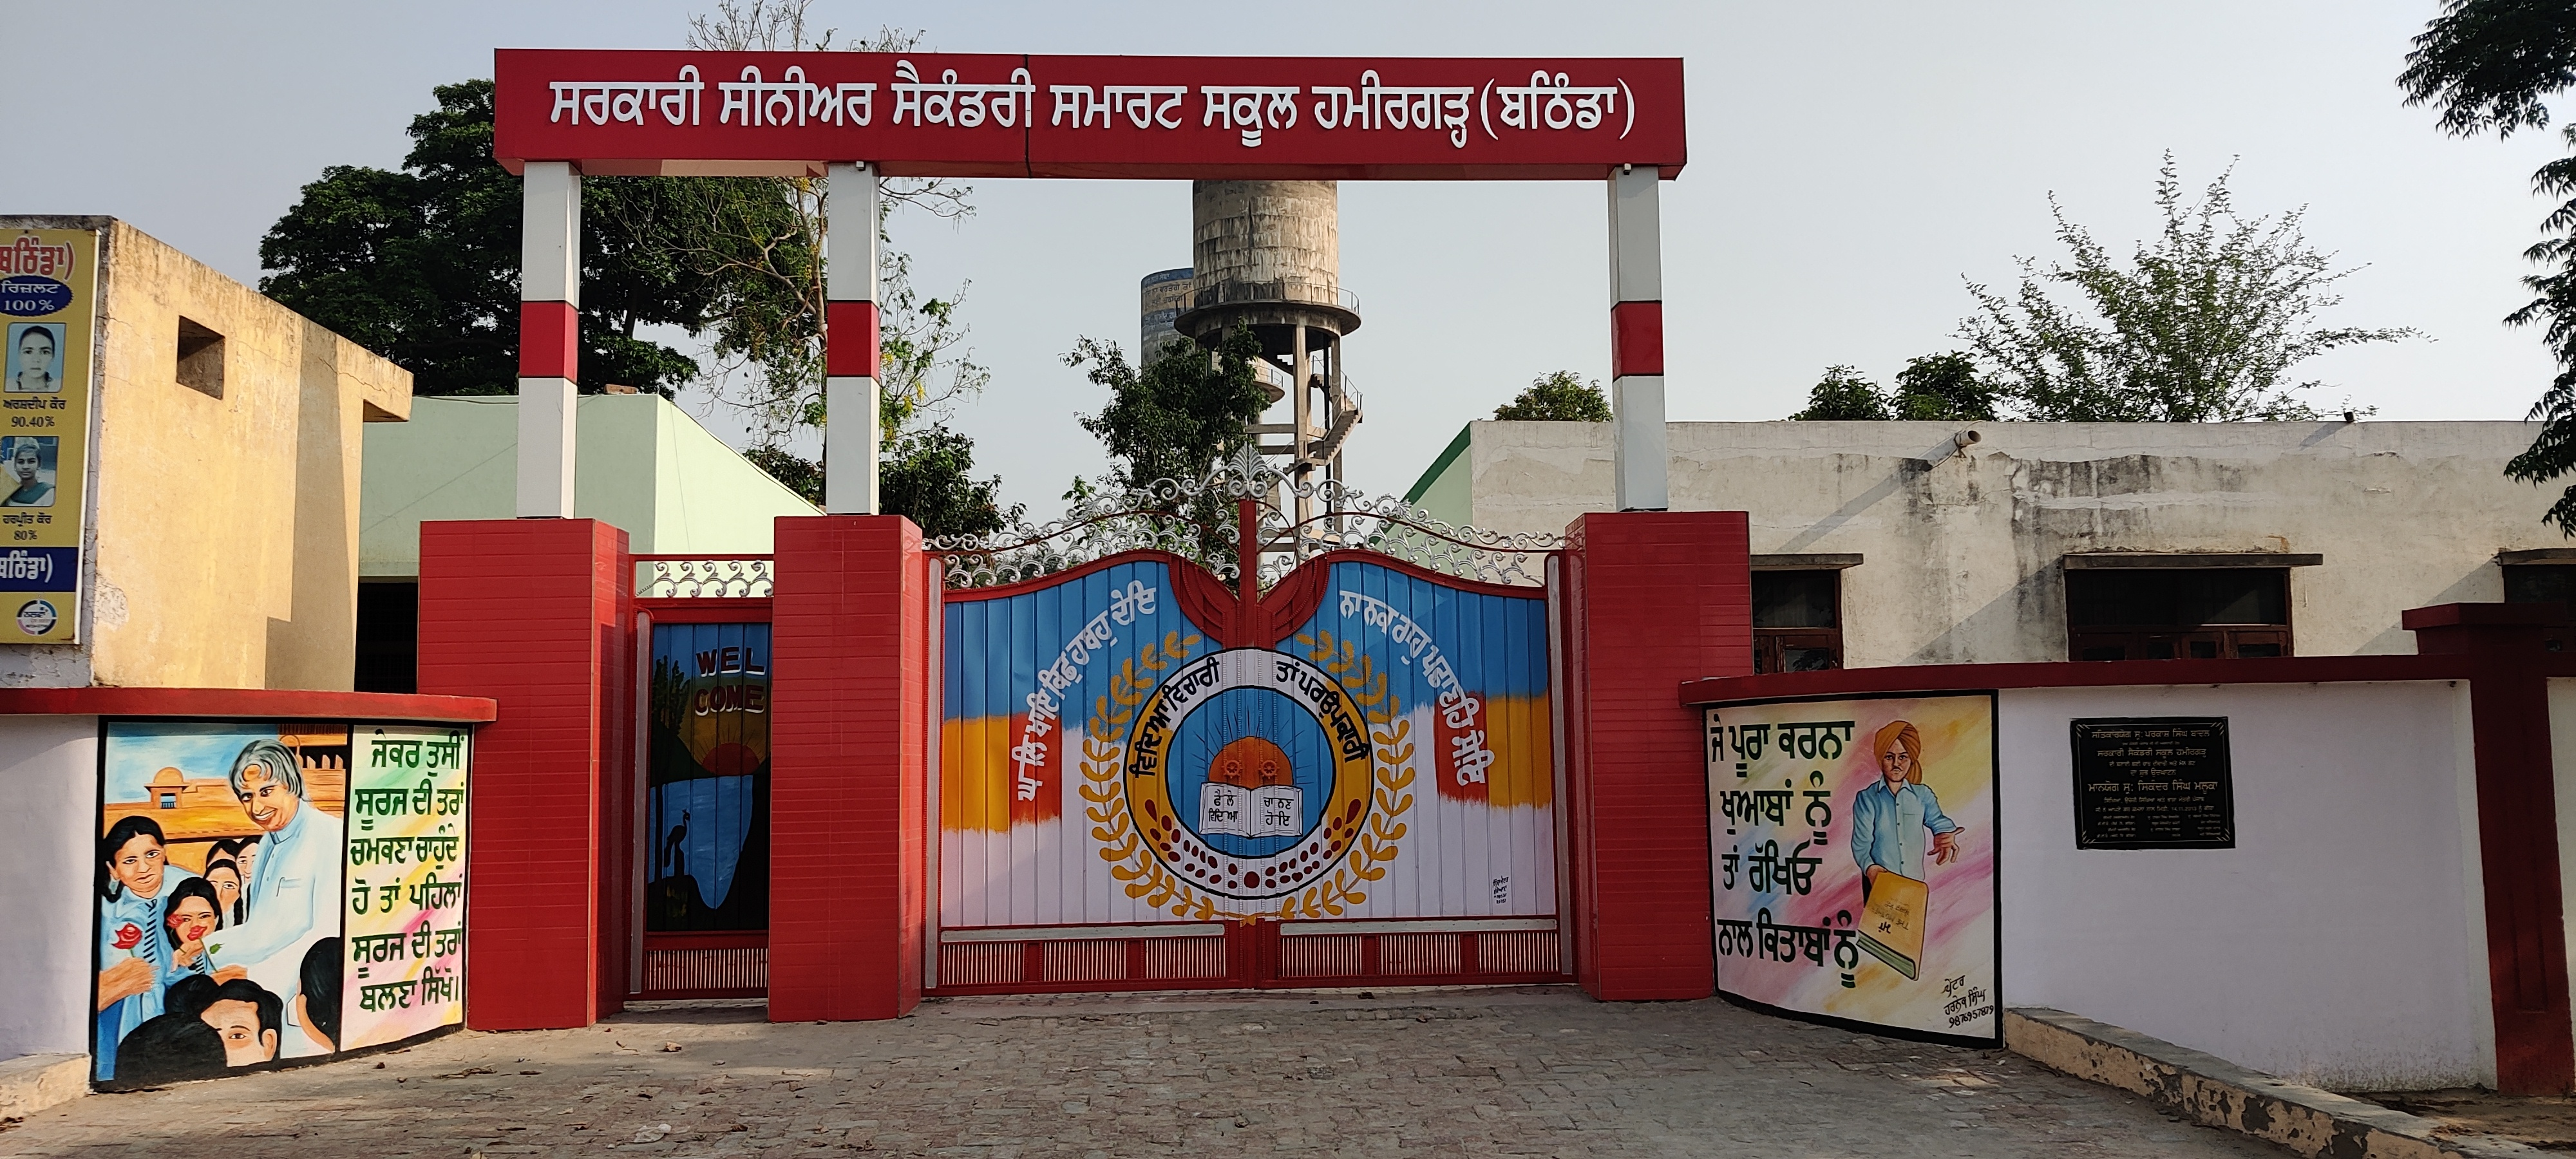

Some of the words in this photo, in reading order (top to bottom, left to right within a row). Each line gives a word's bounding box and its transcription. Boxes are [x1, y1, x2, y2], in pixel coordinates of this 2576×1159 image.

[532, 57, 714, 137] ਸਰਕਾਰੀ
[712, 57, 885, 135] ਸੀਨੀਅਰ
[882, 58, 1041, 138] ਸੈਕੰਡਰੀ
[1043, 77, 1193, 134] ਸਮਾਰਟ
[1197, 80, 1305, 151] ਸਕੂਲ
[1304, 61, 1479, 153] ਹਮੀਰਗੜ੍ਹ
[1490, 65, 1630, 138] ਬਠਿੰਡਾ
[0, 231, 69, 280] ਬਠਿੰਡਾ
[2, 296, 59, 312] 100%
[0, 276, 62, 296] ਰਿਜ਼ਲਟ
[1, 393, 48, 413] ਅਰਸ਼ਦੀਪ
[3, 412, 59, 432] 90.40%
[47, 395, 71, 413] ਕੌਰ
[0, 509, 36, 529] ਹਰਪ੍ਰੀਤ
[10, 529, 42, 544] 80%
[35, 508, 54, 526] ਕੌਰ
[1, 548, 48, 584] ਬਠਿੰਡਾ
[351, 785, 412, 835] ਸੂਰਜ
[359, 726, 424, 772] ਜੇਕਰ
[410, 777, 436, 820] ਦੀ
[422, 726, 471, 780] ਤੁਸੀਂ
[433, 777, 468, 818] ਤਰਾਂ
[685, 644, 770, 681] WEL
[688, 681, 769, 724] COME
[1008, 730, 1052, 811] ਘਲਿ
[1019, 681, 1065, 741] ਖਾਇ
[1032, 643, 1086, 702] ਕਿਛੁ
[1057, 594, 1124, 674] ਹਥਹੁ
[1107, 574, 1160, 632] ਦੇਇ
[1125, 693, 1175, 782] ਵਿਦਿਆ
[1156, 654, 1224, 713] ਵਿਚਾਰੀ
[1205, 807, 1241, 824] ਵਿਇਆ
[1209, 786, 1240, 808] ਫੈਲੇ
[1260, 795, 1296, 811] ਚਾਨਣ
[1262, 808, 1294, 828] ਹੋਇ
[1271, 656, 1372, 771] ਤਾਂ ਪਰਉਪਕਾਰੀ
[1332, 585, 1402, 643] ਨਾਨਕ
[1385, 611, 1437, 669] ਰਾਹੁ
[1414, 636, 1484, 734] ਪਛਾਣਹਿ
[1444, 724, 1497, 793] ਸੇਇ
[1707, 711, 1730, 771] ਜੇ
[1725, 714, 1775, 781] ਪੂਰਾ
[1714, 774, 1800, 838] ਖੁਆਬਾਂ
[1774, 711, 1863, 765] ਕਰਨਾ
[1796, 765, 1842, 848] ਨੂੰ
[2083, 777, 2121, 795] ਮਾਨਯੋਗ
[2092, 746, 2126, 759] ਸਰਕਾਰੀ
[2088, 726, 2133, 742] ਸਤਿਕਾਰਯੋਗ
[2121, 780, 2136, 796] ਸ੍ਰ:
[2132, 728, 2144, 741] ਸੁ:
[2125, 745, 2154, 759] ਸੈਕਂਡਰੀ
[2135, 778, 2172, 794] ਸਿਕੰਦਰ
[2143, 728, 2172, 739] ਪਰਕਾਸ਼
[2152, 748, 2175, 760] ਸਕੂਲ
[2171, 726, 2189, 739] ਸਿੰਘ
[2170, 776, 2193, 794] ਸਿੰਘ
[2175, 745, 2211, 762] ਹਮੀਰਗੜ੍ਹ
[2189, 726, 2213, 740] ਬਾਦਲ
[2193, 779, 2221, 795] ਮਲੂਕਾ
[345, 831, 415, 871] ਚਮਕਣਾ
[415, 820, 464, 875] ਚਾਹੁੰਦੇ
[1715, 840, 1744, 896] ਤਾਂ
[1741, 834, 1826, 901] ਰੱਖਿਓ
[346, 873, 374, 921] ਹੋ
[375, 874, 406, 919] ਤਾਂ
[405, 869, 466, 917] ਪਹਿਲਾਂ
[346, 929, 408, 983] ਸੂਰਜ
[408, 916, 433, 962] ਦੀ
[432, 917, 464, 963] ਤਰਾਂ
[1714, 916, 1757, 964] ਨਾਲ
[1752, 903, 1832, 970] ਕਿਤਾਬਾਂ
[1830, 904, 1861, 990] ਨੂੰ
[1873, 919, 1894, 939] ਮਾਂ
[354, 975, 419, 1020] ਬਲਣਾ
[417, 960, 457, 1008] ਸਿੱਖੋ
[1936, 970, 1967, 1000] ਜੇਂਟਰ
[1935, 992, 1968, 1017] ਹਰਨੇਕ
[1946, 1004, 1997, 1030] 9876957879
[1966, 983, 1991, 1009] ਸਿੰਘ